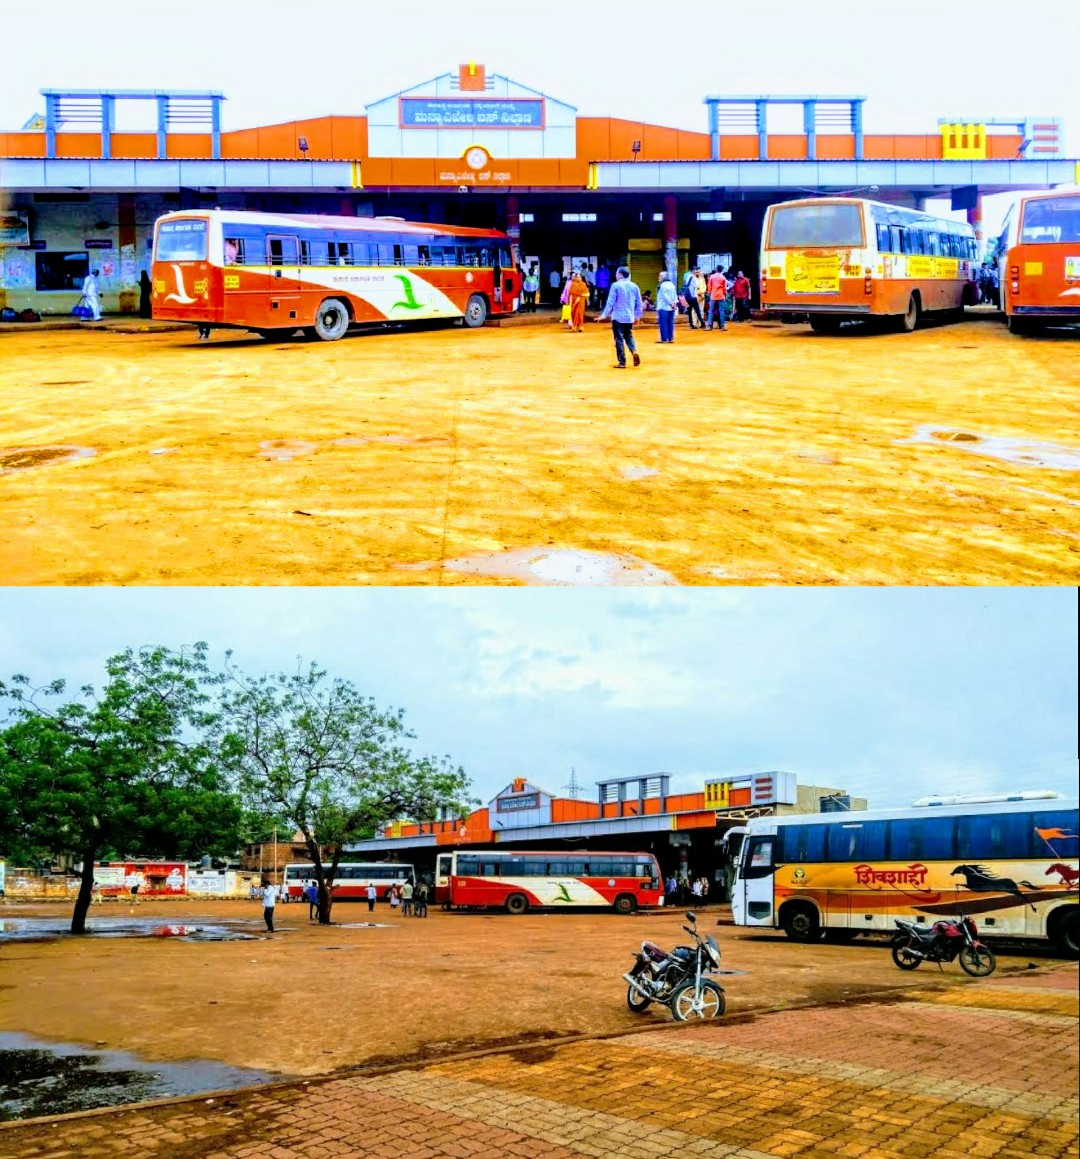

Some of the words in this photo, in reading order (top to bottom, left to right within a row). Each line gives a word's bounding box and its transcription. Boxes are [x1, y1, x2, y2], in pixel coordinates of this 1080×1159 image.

[409, 103, 449, 131] ಮನ್ಸಾಎ
[472, 107, 504, 129] ಬಸ್
[844, 859, 933, 900] शिवशाही